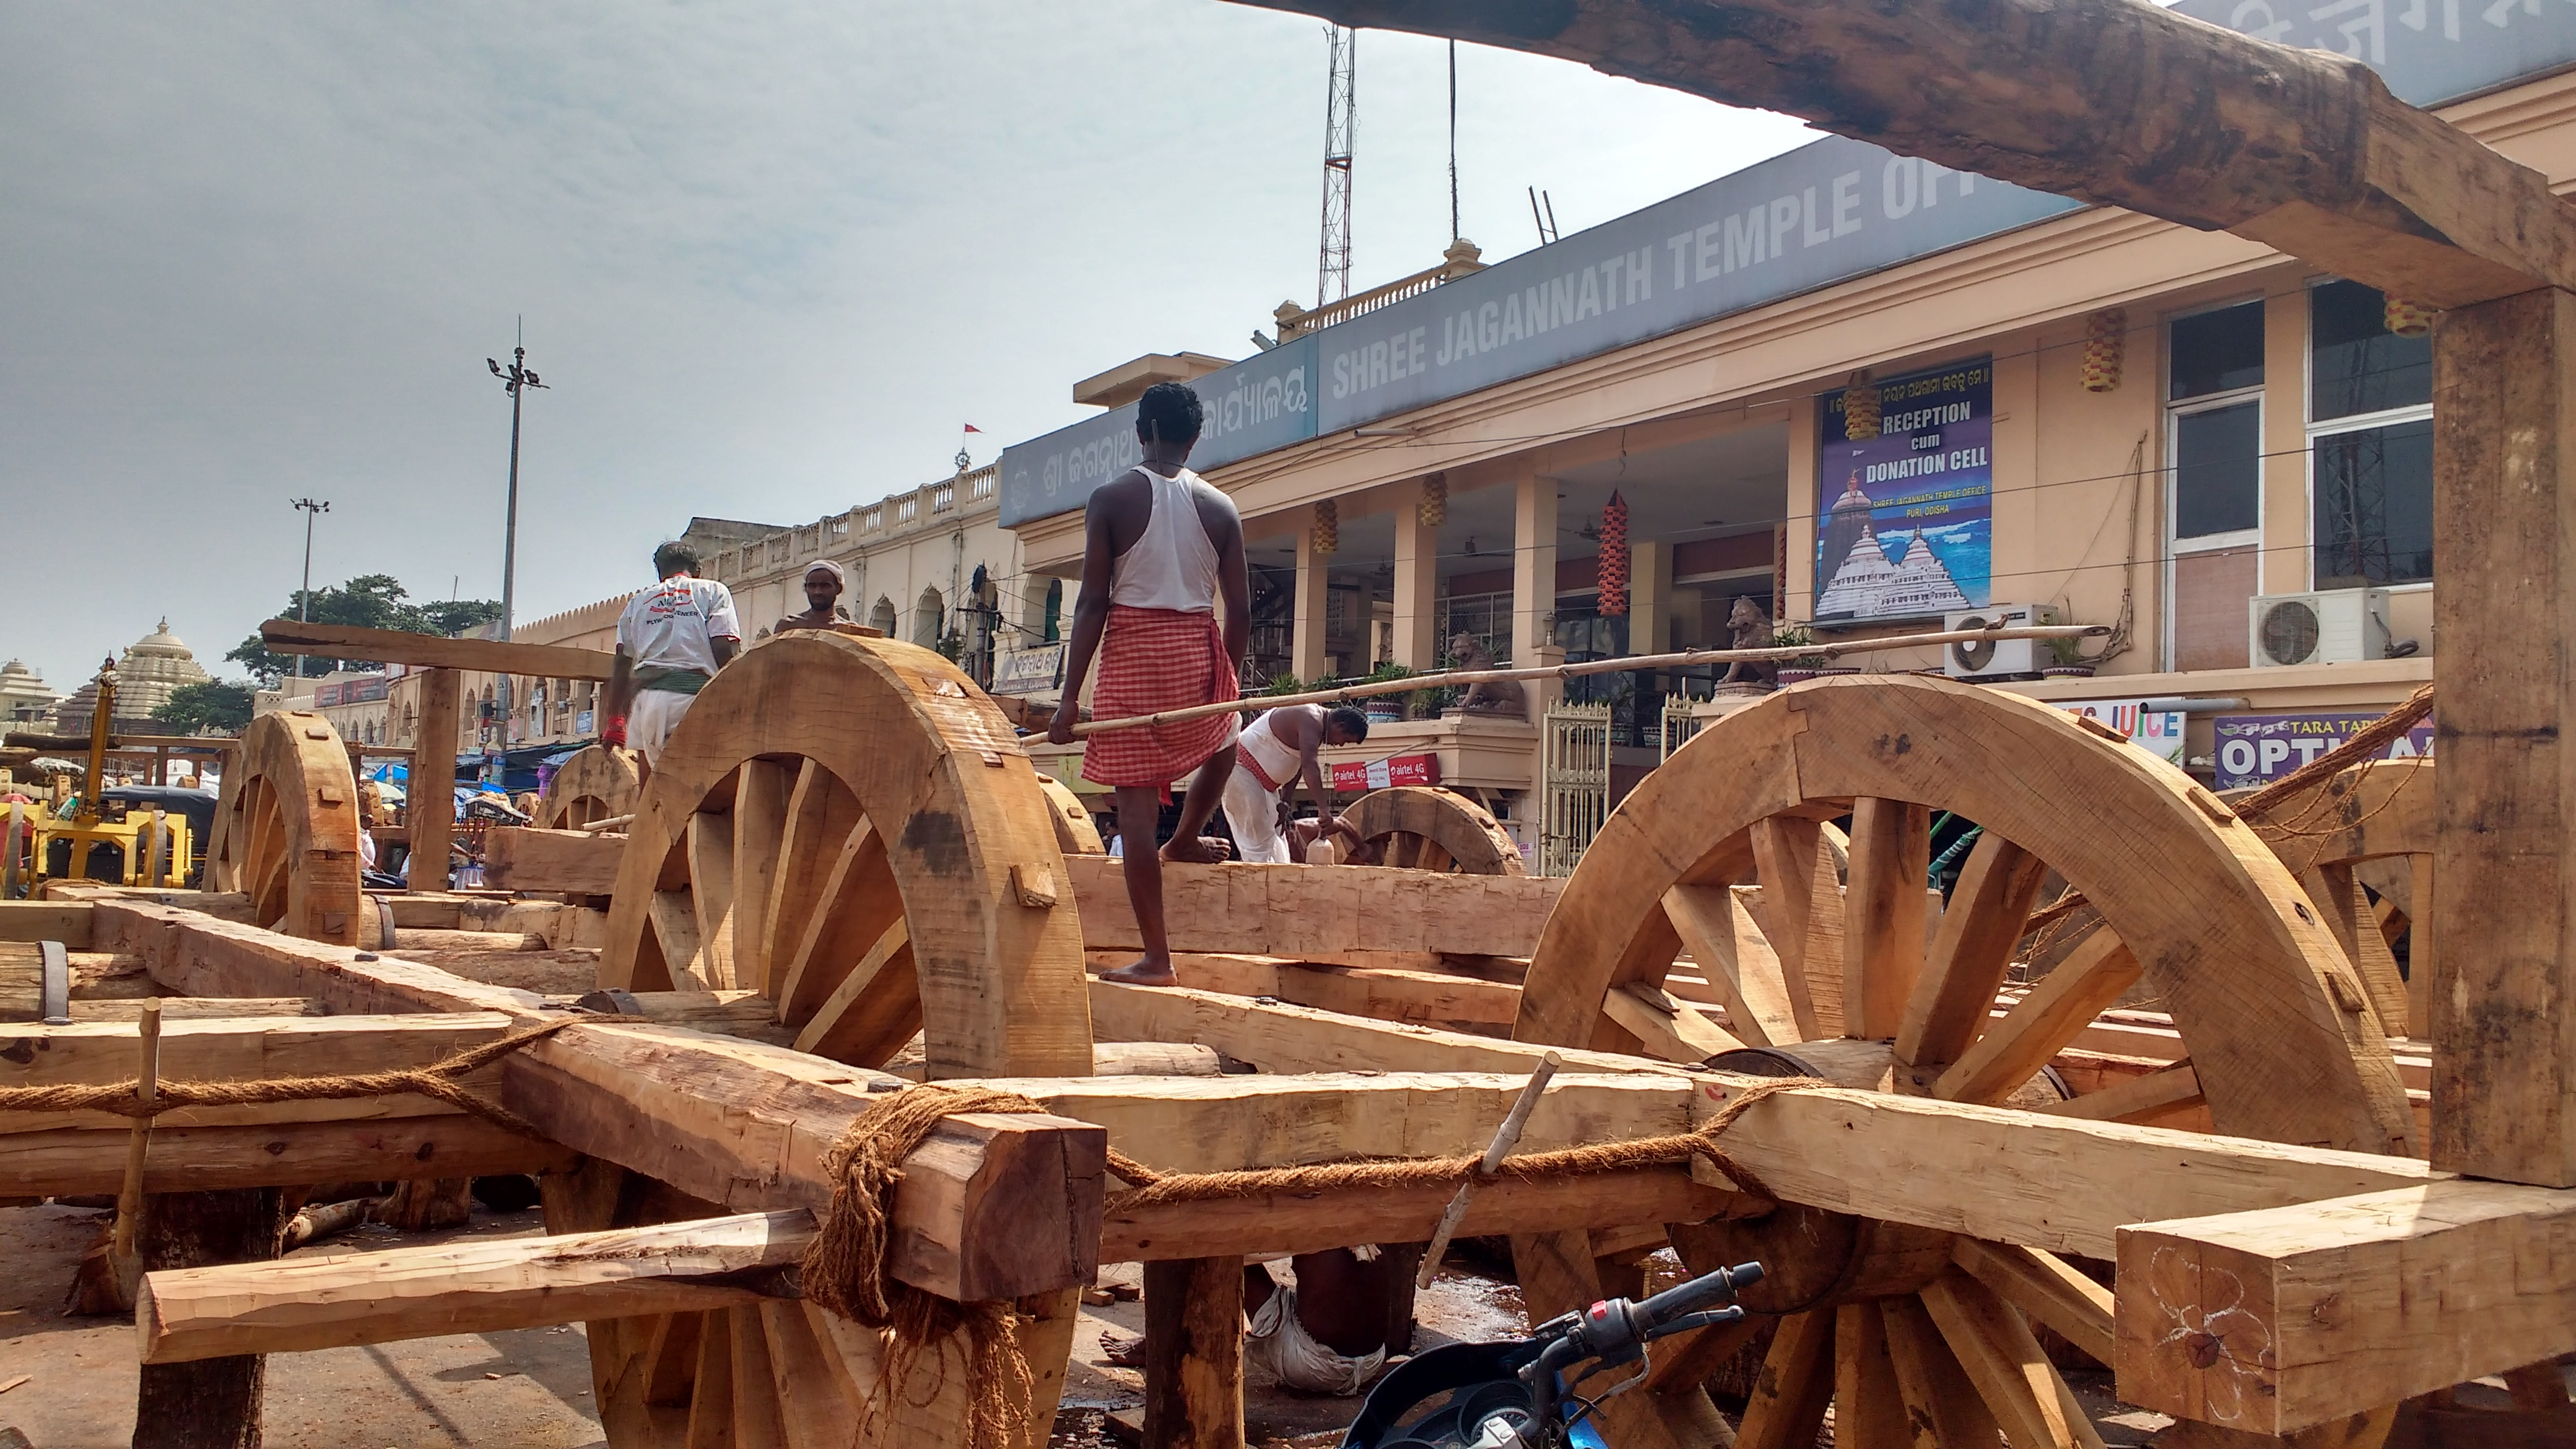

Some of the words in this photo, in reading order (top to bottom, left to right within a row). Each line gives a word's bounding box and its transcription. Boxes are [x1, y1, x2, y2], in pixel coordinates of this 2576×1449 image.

[1663, 163, 1868, 298] TEMPLE
[1430, 241, 1658, 373] JAGANNATH
[1323, 323, 1431, 404] SHREE
[1902, 373, 1944, 404] ପଥଗାମୀ
[1939, 365, 1985, 395] ଭବତୁ ମେ
[1196, 361, 1312, 446] କାର୍ଯ୍ୟାଳୟ
[1879, 398, 1973, 437] RECEPTION
[1907, 431, 1943, 454] cum
[1038, 446, 1065, 500] ଣ୍ରୀ
[1065, 423, 1138, 489] ଜଗନ୍ନାଥ
[1862, 450, 1947, 486] DONATION
[1947, 445, 1991, 472] CELL
[1870, 494, 1895, 513] SHREE
[1903, 504, 1925, 520] PURI
[1893, 490, 1936, 507] JAGANNATH
[1921, 500, 1951, 519] ODISHA
[1931, 486, 1964, 501] TEMPLE
[1960, 482, 1990, 498] OFFICE
[2289, 716, 2336, 737] TARA
[1336, 763, 1358, 785] airtel
[1354, 764, 1369, 780] 4G
[1391, 759, 1416, 777] airtel
[1412, 759, 1427, 778] 4G